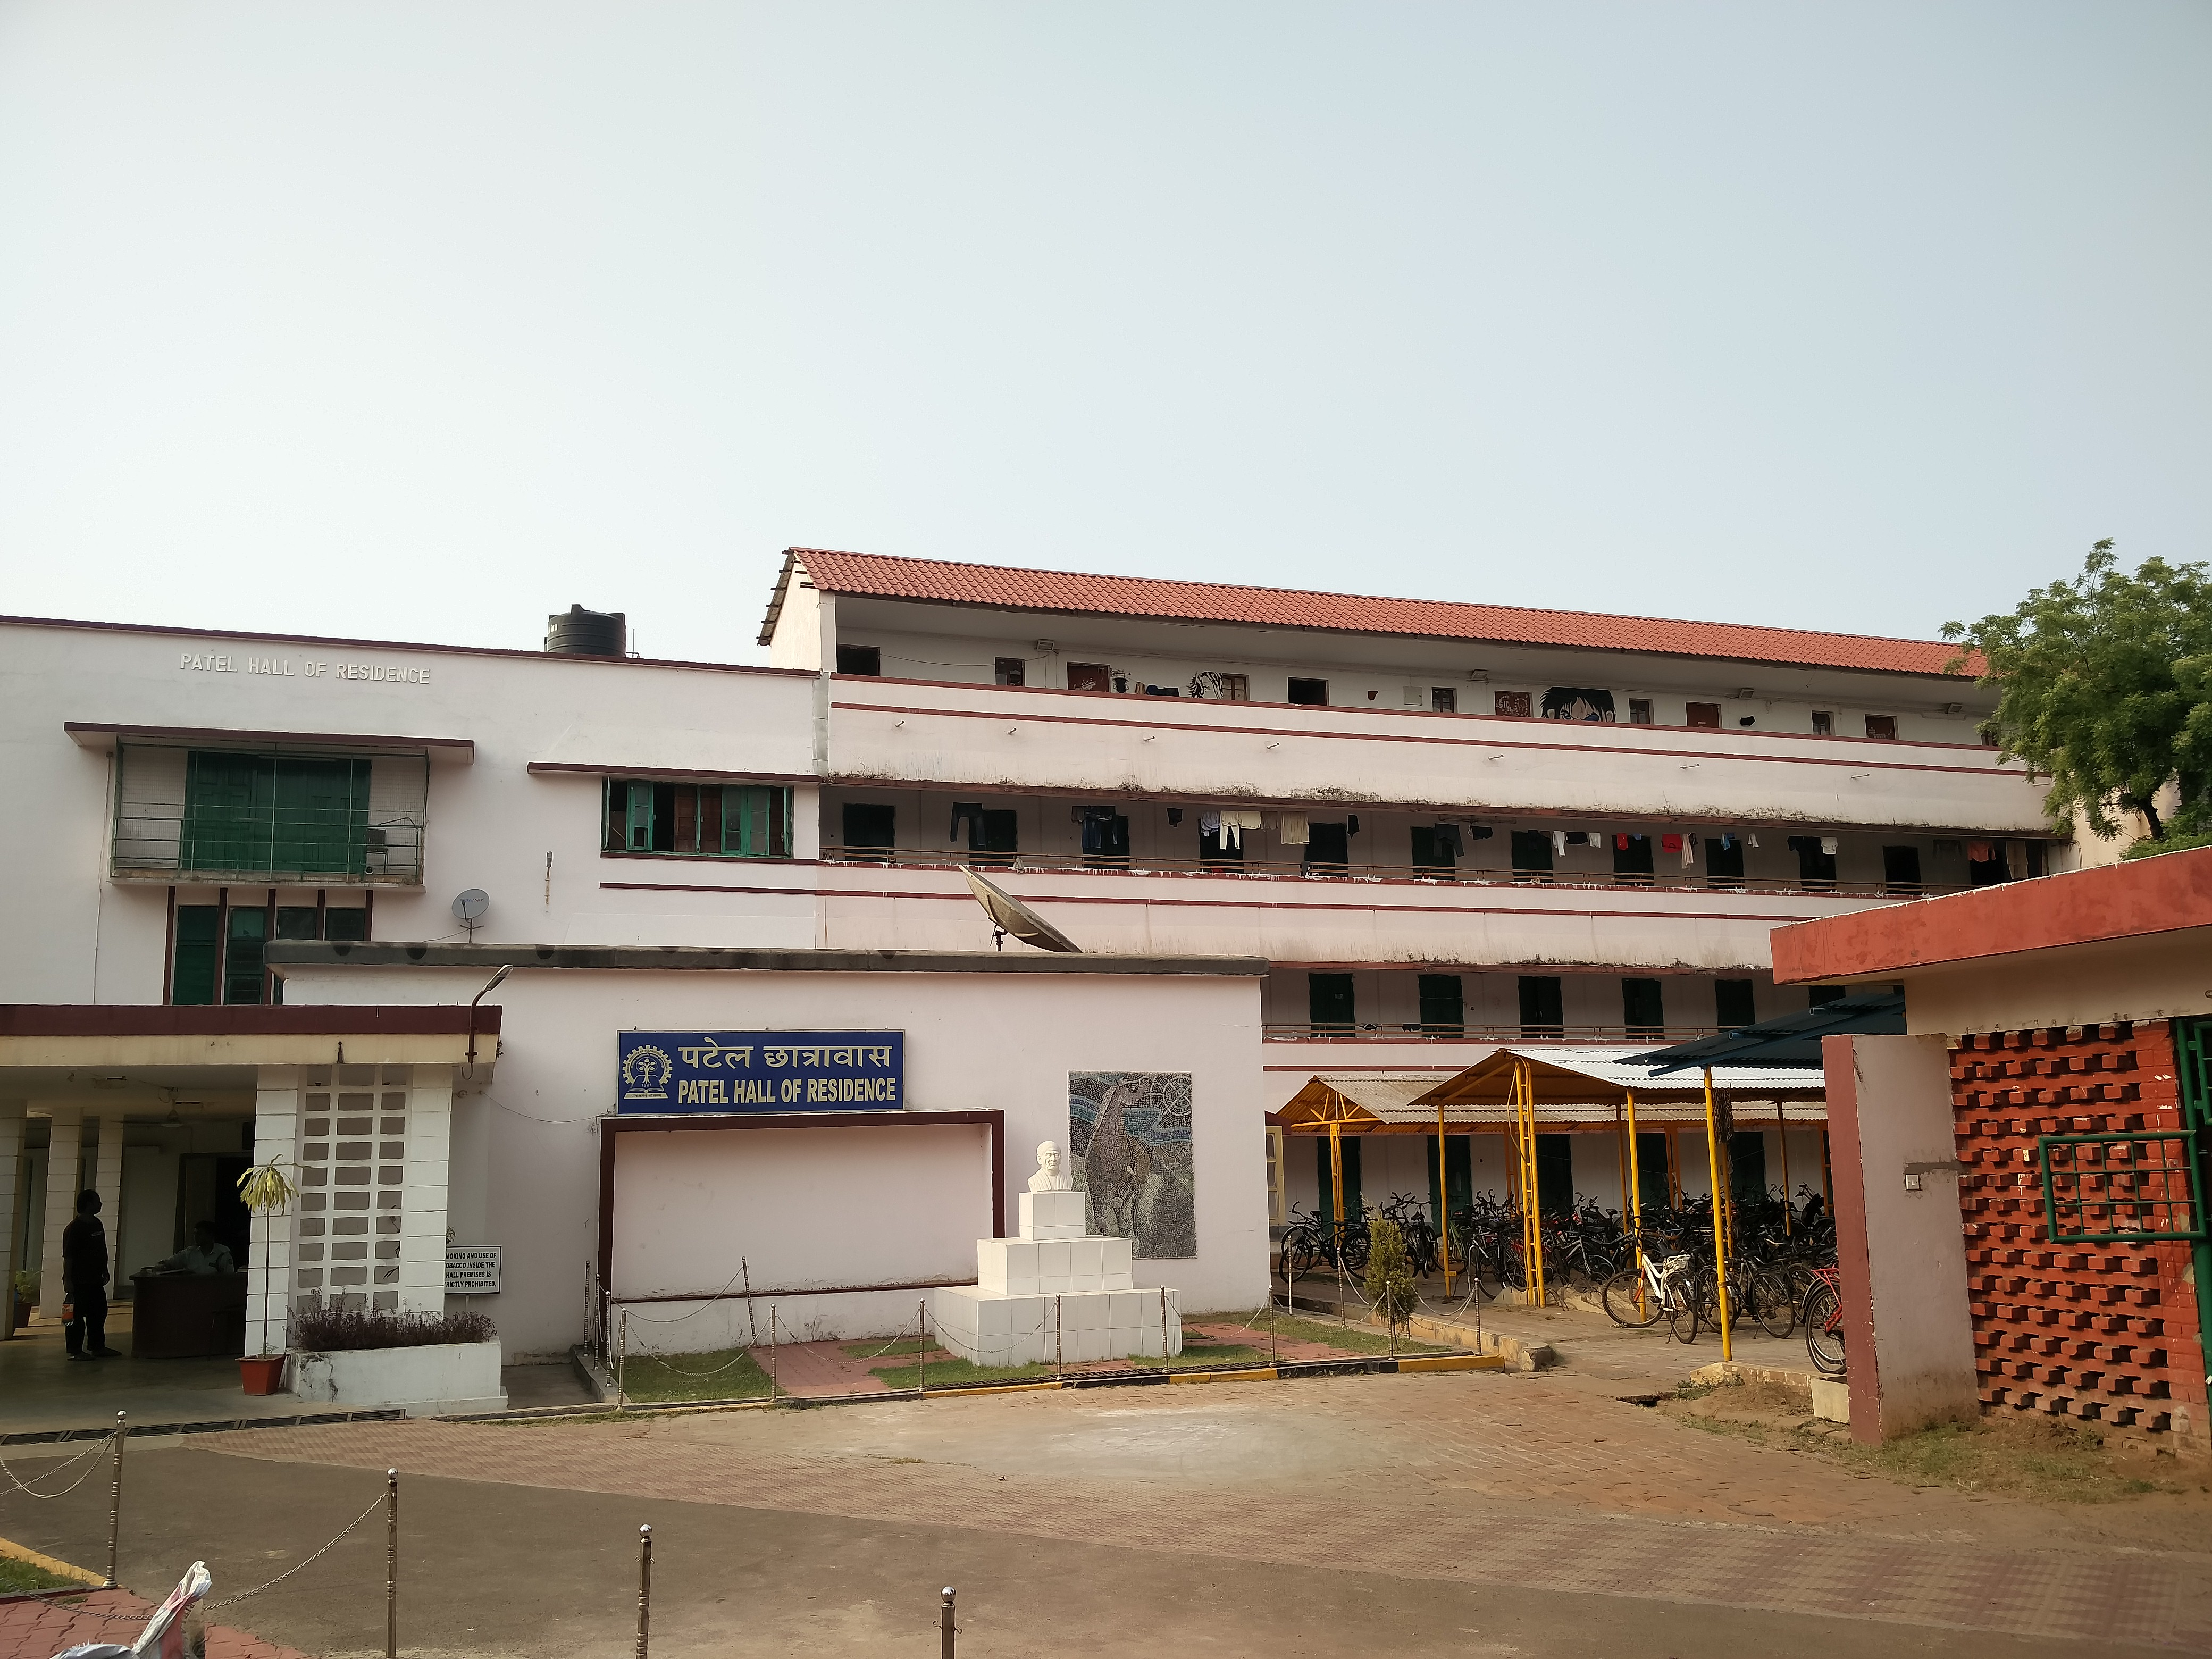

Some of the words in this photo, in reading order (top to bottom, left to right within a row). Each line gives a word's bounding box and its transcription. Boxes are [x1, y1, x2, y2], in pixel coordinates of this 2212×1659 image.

[177, 650, 238, 676] PATEL
[247, 655, 295, 678] HALL
[301, 659, 328, 680] OF
[334, 661, 432, 687] RESIDENCE
[677, 1034, 753, 1069] पटेल
[763, 1044, 892, 1070] छात्रावास
[677, 1079, 728, 1104] PATEL
[732, 1078, 776, 1104] HALL
[780, 1078, 801, 1103] OF
[805, 1077, 895, 1103] RESIDENCE